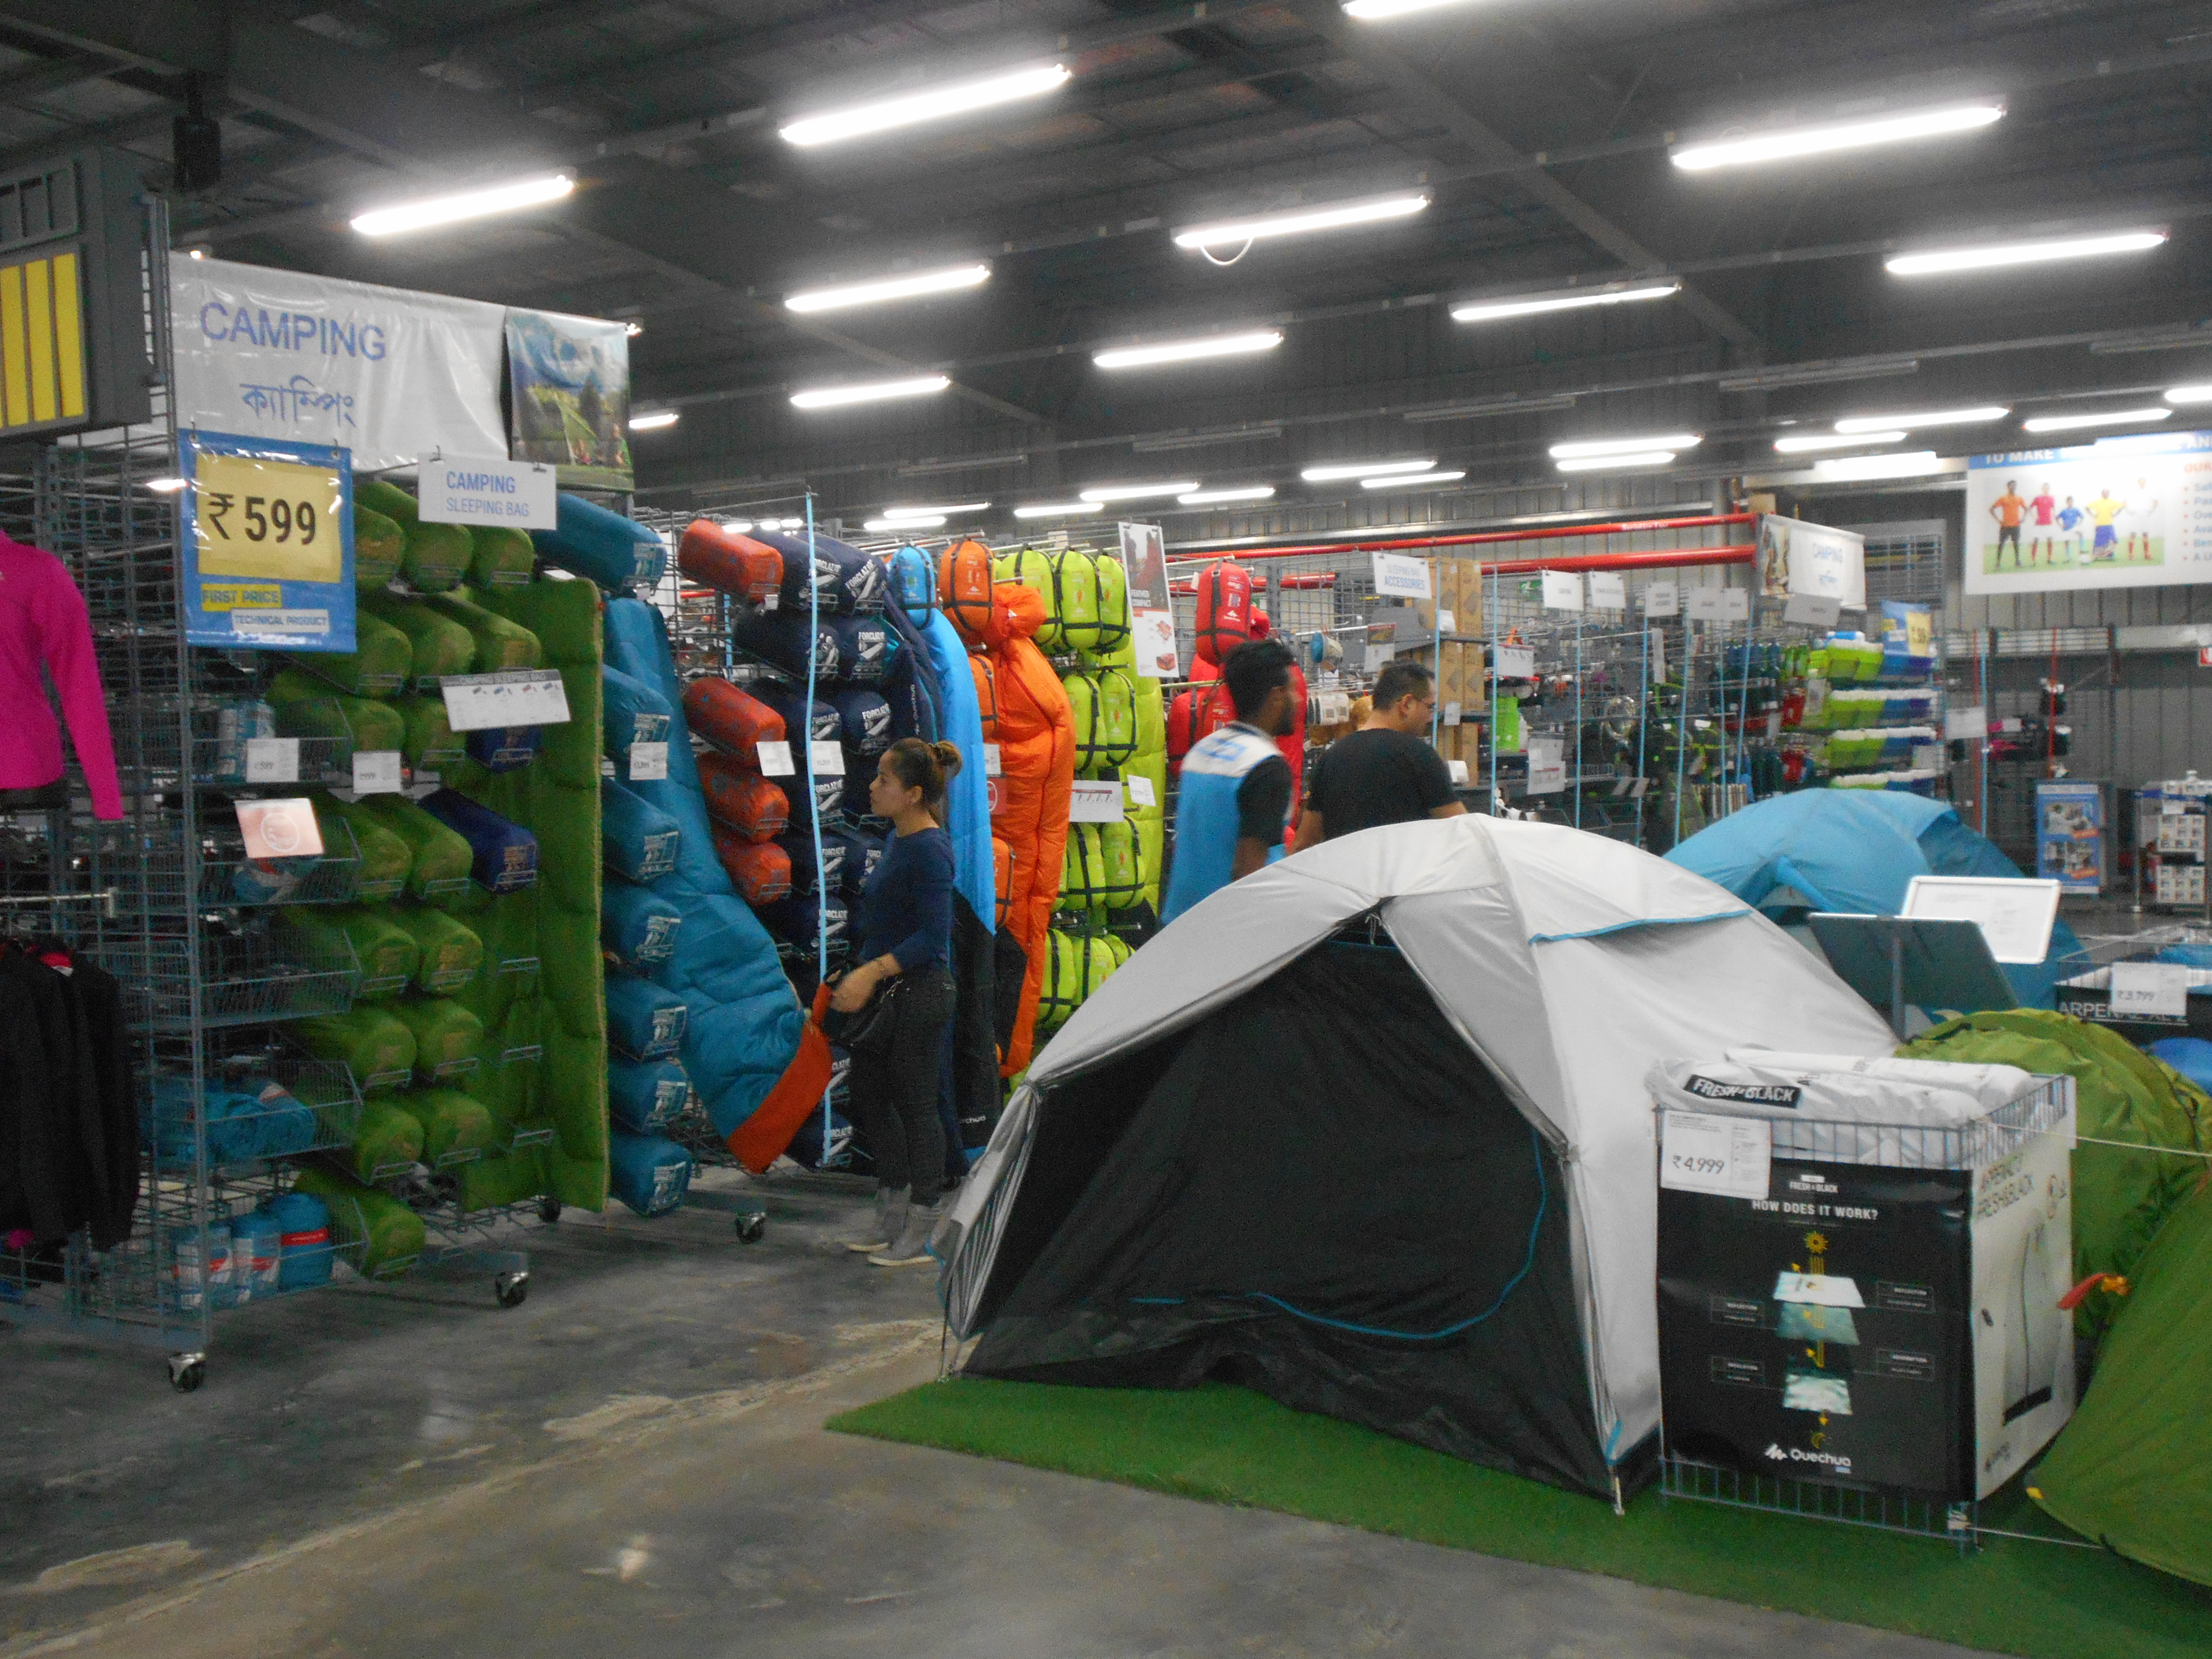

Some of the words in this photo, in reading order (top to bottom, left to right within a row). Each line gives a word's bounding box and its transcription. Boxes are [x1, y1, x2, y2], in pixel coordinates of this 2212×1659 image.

[194, 295, 390, 363] CAMPING
[237, 371, 361, 433] ক্যাম্পিং
[444, 463, 520, 496] CAMPING
[239, 487, 323, 552] 599
[442, 495, 508, 521] SLEEPING
[502, 499, 532, 522] BAG
[194, 579, 244, 611] FIRST
[236, 585, 285, 610] PRICE
[229, 612, 289, 629] TECHNICAL
[278, 611, 331, 630] PRODUCT
[1685, 1066, 1750, 1103] FRESH
[1740, 1080, 1798, 1111] BLACK
[1749, 1195, 1782, 1218] HOW
[1778, 1200, 1819, 1219] DOES
[1813, 1203, 1832, 1222] IT
[1830, 1200, 1881, 1228] WORK?